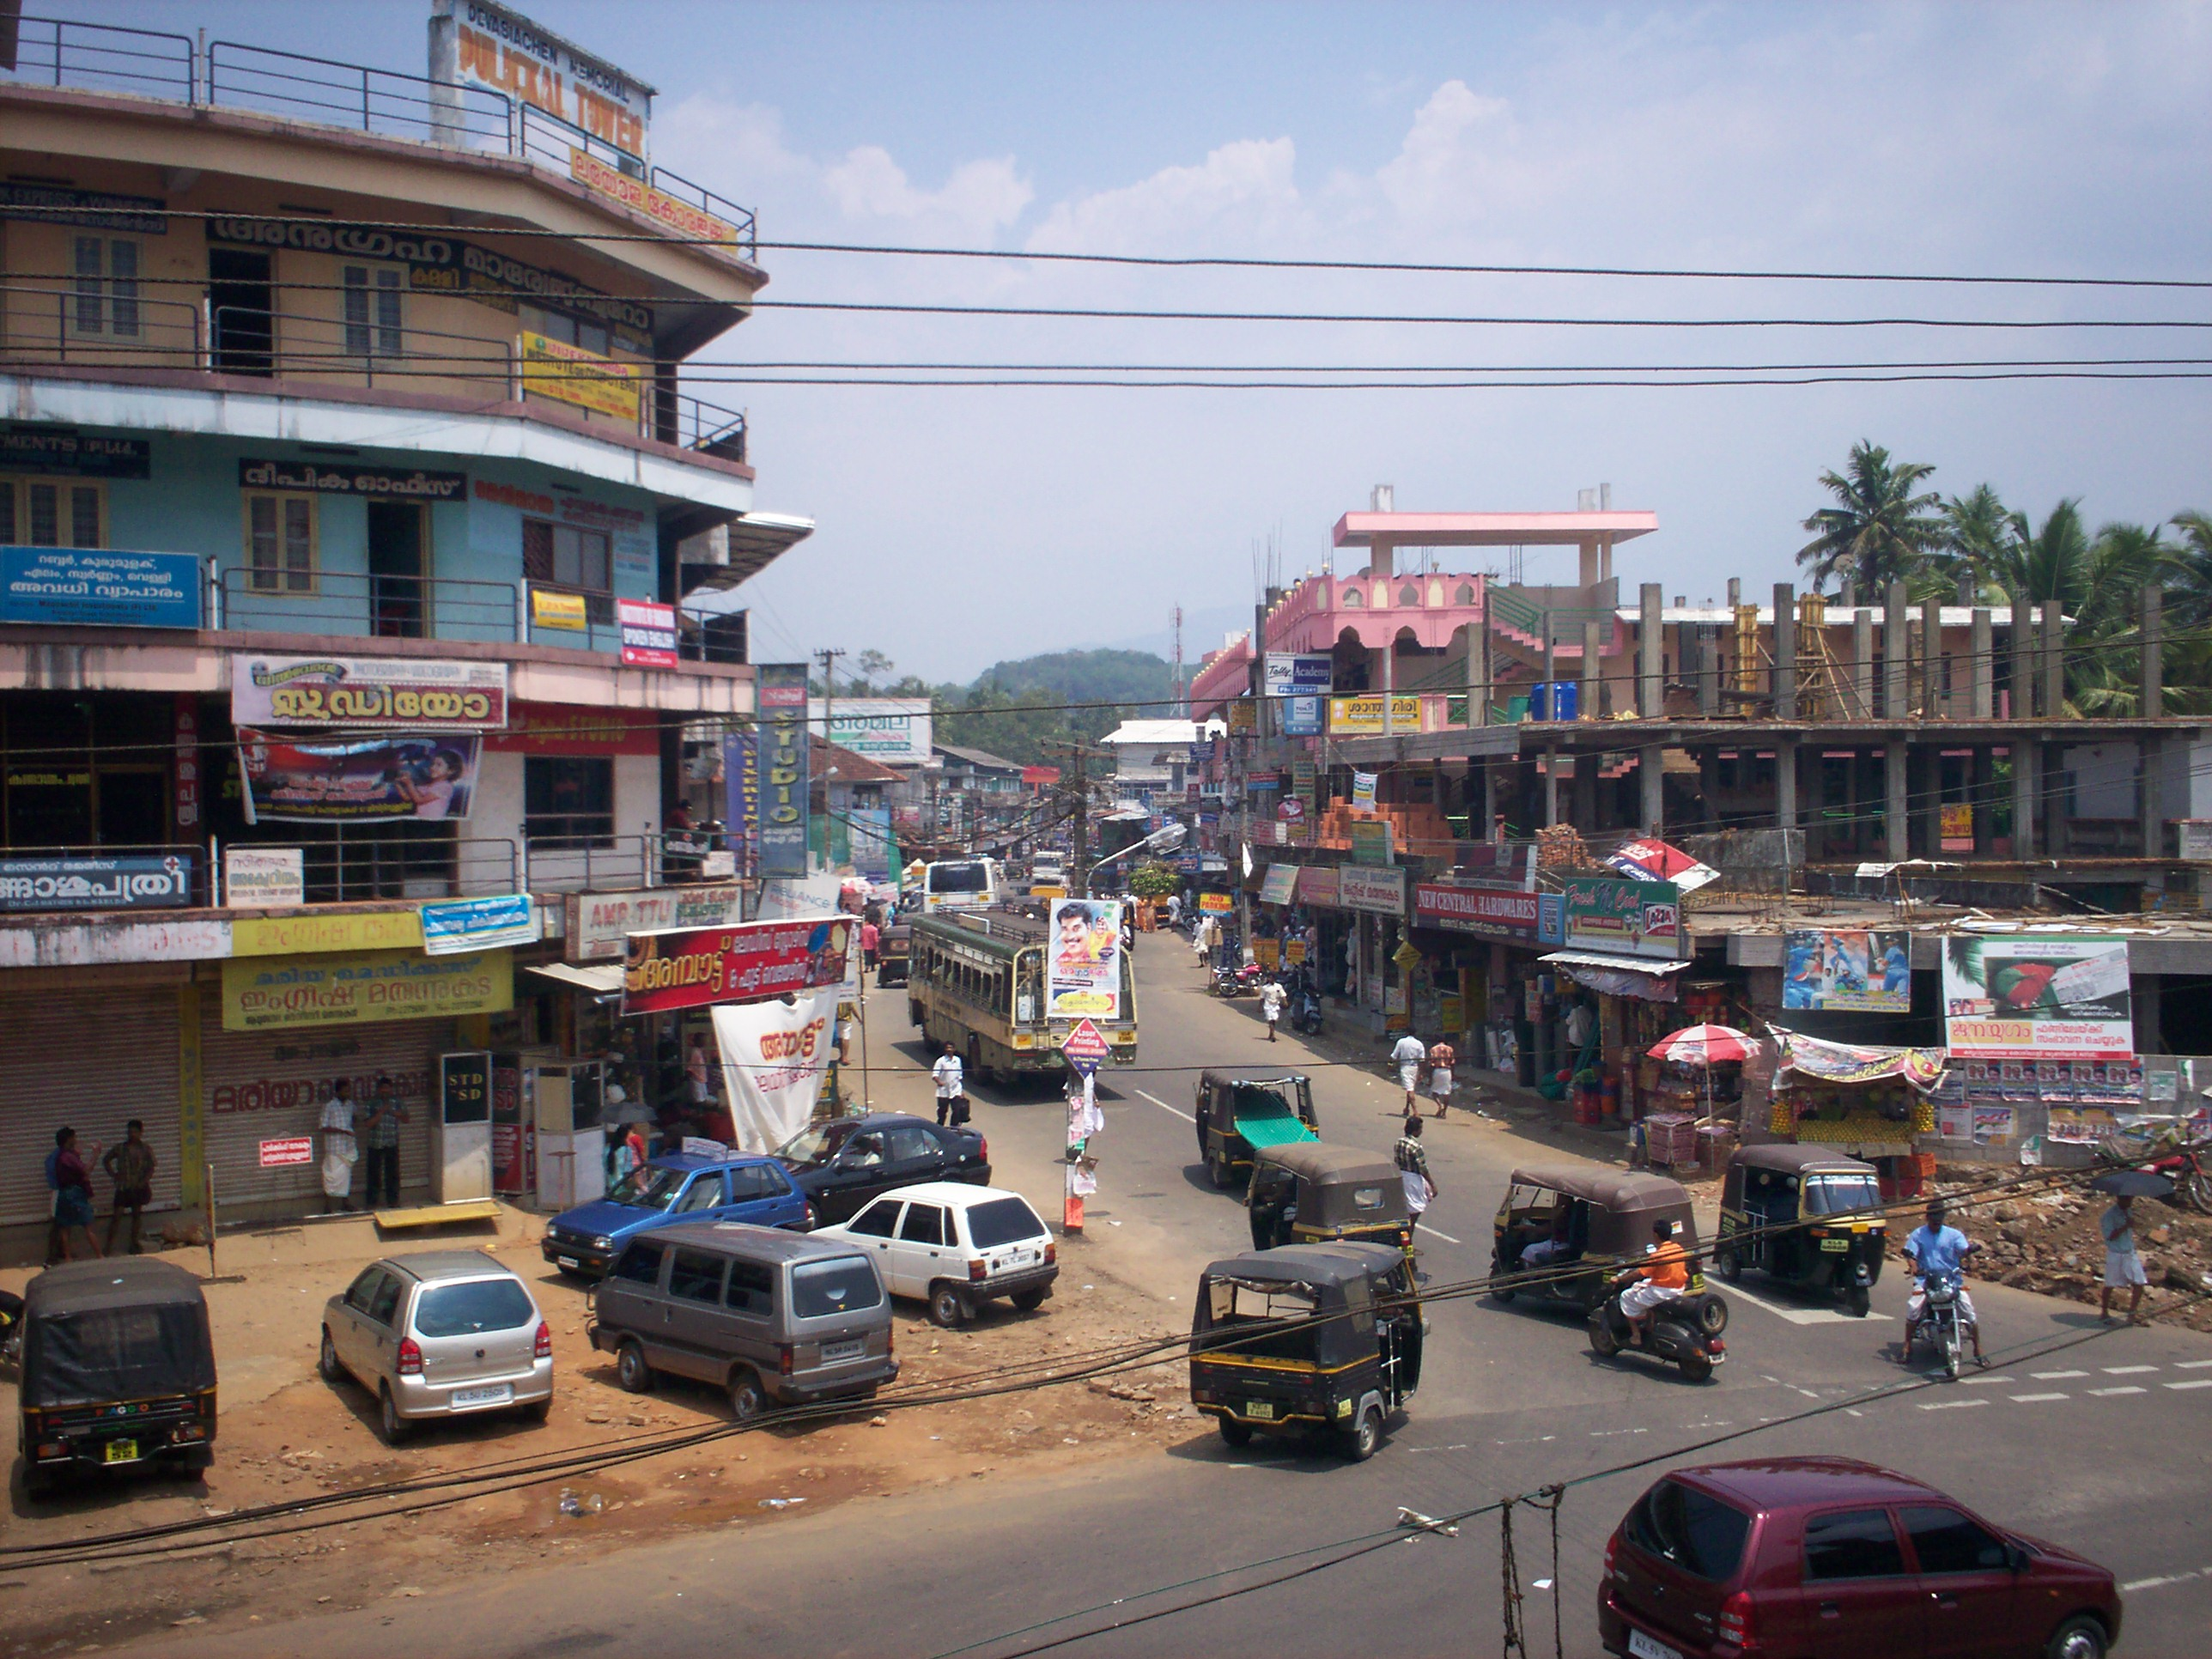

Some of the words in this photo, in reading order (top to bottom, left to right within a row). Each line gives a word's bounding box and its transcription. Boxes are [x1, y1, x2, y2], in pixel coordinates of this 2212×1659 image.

[463, 1, 562, 70] DEVASIACHEN
[450, 15, 569, 122] PULICKAL
[567, 52, 633, 109] MEMORIAL
[573, 78, 647, 166] TOWER
[568, 150, 647, 212] ലഭയജെ
[211, 208, 458, 268] അനുഗഹ
[241, 456, 355, 494] ദീപിക
[349, 470, 459, 499] ഓഫിസ്
[471, 471, 559, 520] മേൻമാത
[20, 566, 64, 582] ഏലം
[8, 576, 92, 600] അവധി
[64, 563, 123, 587] സ്വർണ്ണം
[79, 554, 161, 573] കുരുമുളക്
[92, 581, 188, 602] വ്യാപാരം
[123, 569, 176, 586] വെള്ളി
[1291, 663, 1334, 681] Academy
[267, 681, 494, 724] സ്റ്റുഡിയോ
[1343, 698, 1421, 717] ശാന്തഗിരി
[520, 708, 630, 748] Digital STUDIO
[767, 703, 802, 825] STUDIO
[3, 855, 62, 875] സെൻറ്
[0, 862, 190, 902] ണ്ണാശുപ്രതി
[226, 864, 305, 890] അക്വേറിയം
[1414, 884, 1442, 913] NEW
[1433, 888, 1480, 919] CENTRAL
[1474, 893, 1540, 923] HARDWARES
[1564, 876, 1600, 913] Fresh
[1610, 878, 1646, 913] Coal
[618, 931, 737, 997] അമ്പാട്ട്
[239, 979, 364, 1014] ഇംഗ്ലീഷ്
[365, 971, 495, 1007] മന്ദനുകട
[755, 1011, 831, 1061] അറവാട്ട഼
[1947, 1019, 2033, 1045] ജനയുഗം
[2031, 1033, 2085, 1048] സംഭാവന
[2033, 1018, 2108, 1039] ഫണ്ടിലേയ്‌ക്ക്
[2081, 1032, 2130, 1048] ചെയ്യുക